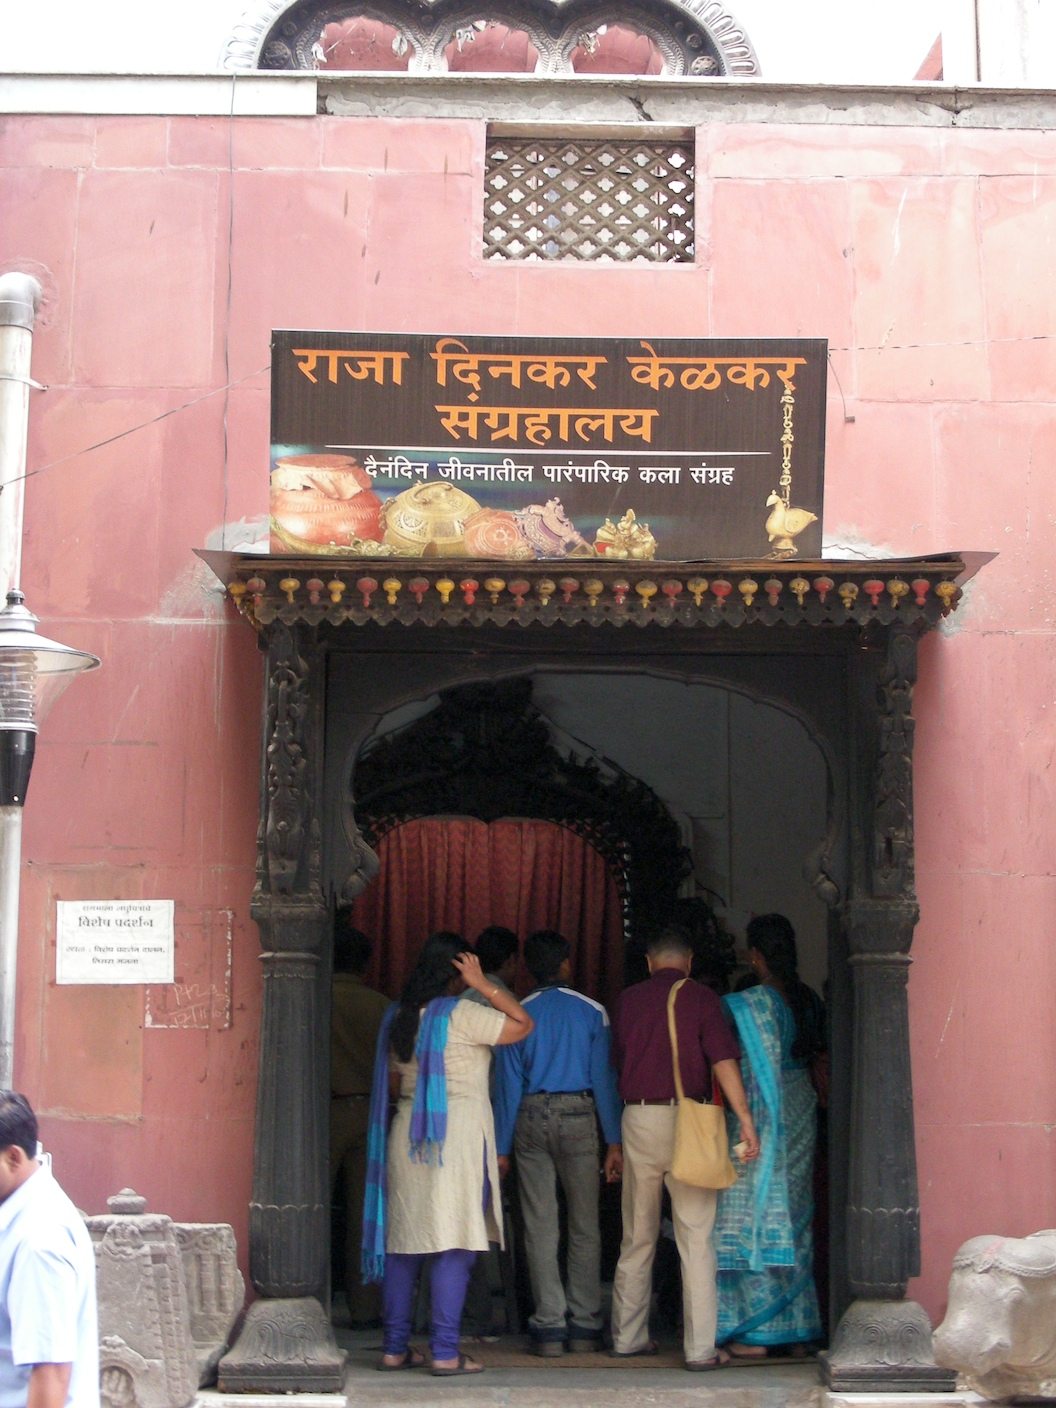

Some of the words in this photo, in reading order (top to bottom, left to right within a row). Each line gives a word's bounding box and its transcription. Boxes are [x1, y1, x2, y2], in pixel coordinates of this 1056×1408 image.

[291, 348, 409, 389] राजा
[417, 324, 611, 394] दिनकर
[622, 331, 810, 393] केळकर
[432, 384, 660, 449] संग्रहालय
[350, 447, 432, 486] दैनंदिन
[433, 450, 537, 485] जीवनातील
[536, 453, 636, 486] पारंपारिक
[636, 464, 682, 484] कला
[688, 459, 738, 492] संग्रह
[71, 907, 115, 933] विशेष
[113, 910, 157, 935] पदर्शन